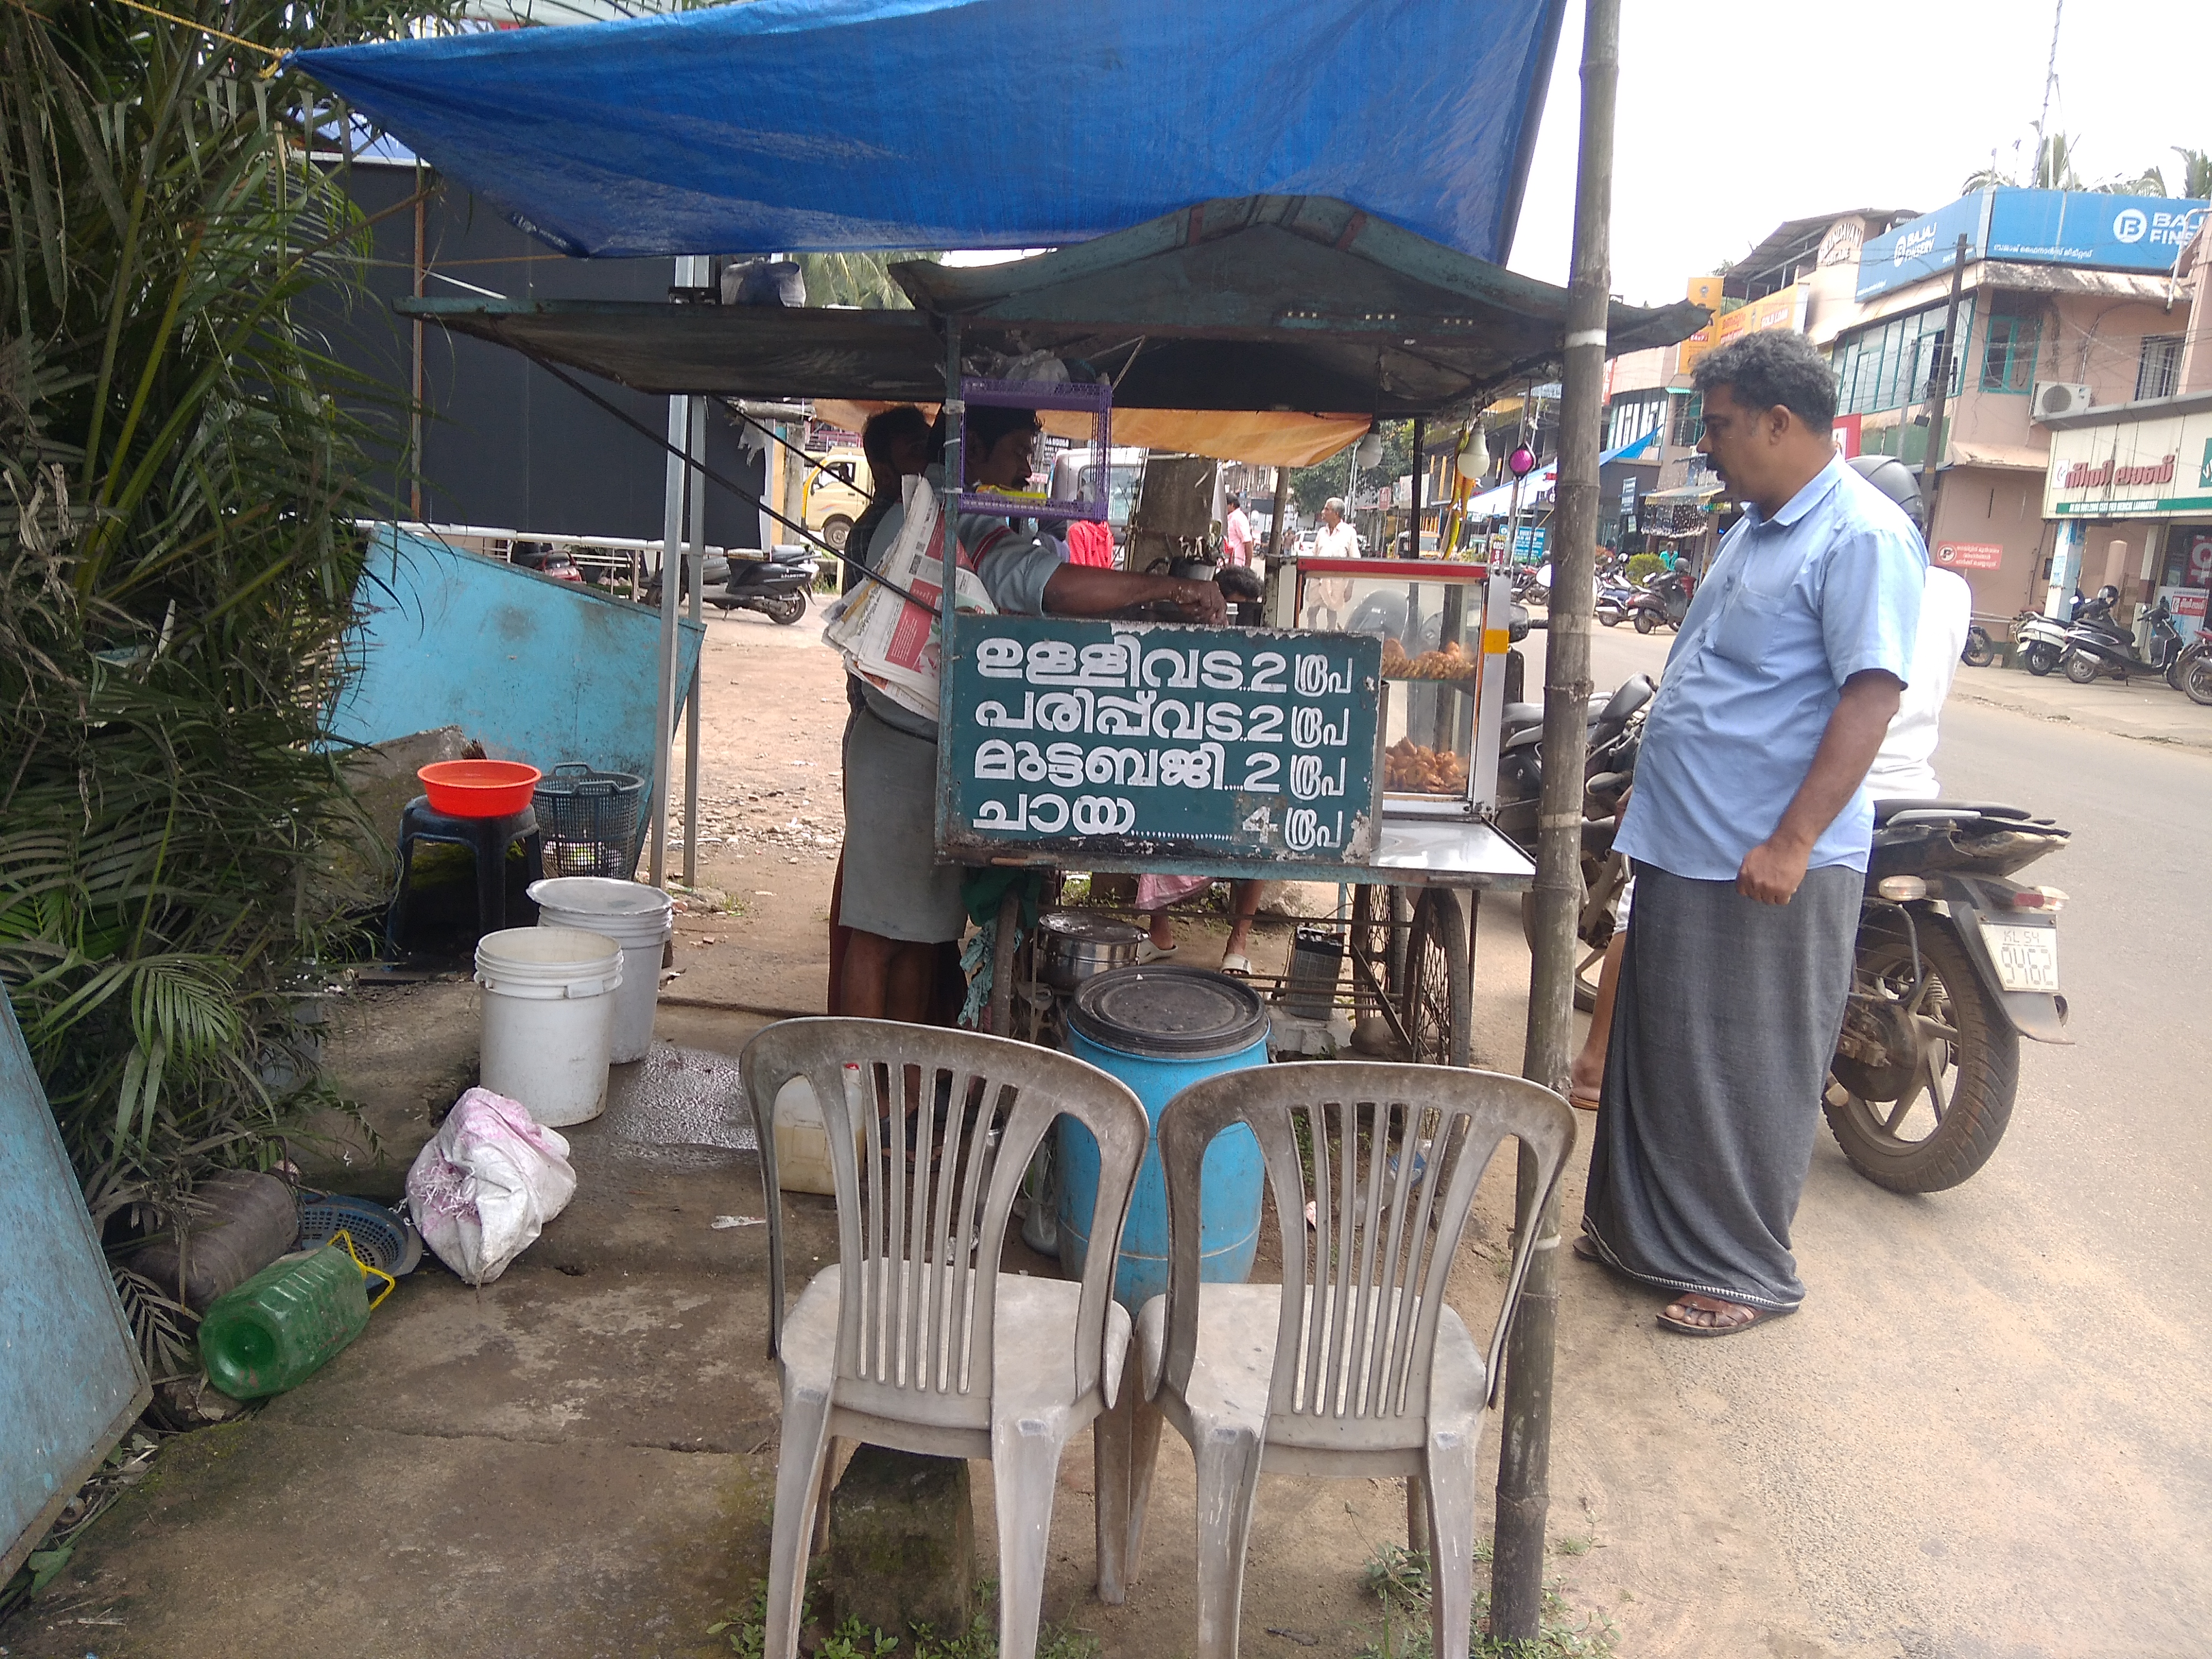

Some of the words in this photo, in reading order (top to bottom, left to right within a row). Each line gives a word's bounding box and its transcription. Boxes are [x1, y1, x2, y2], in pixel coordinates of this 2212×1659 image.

[2057, 240, 2098, 264] ലിമിറ്റഡ്
[2056, 452, 2180, 497] നീതിലാണ്
[969, 627, 1248, 693] ഉള്ളീവട
[1244, 648, 1356, 701] 2 രൂപ
[967, 684, 1286, 747] പരിപ്പ് ‌വട 2
[1287, 699, 1352, 754] രൂപ
[967, 732, 1228, 794] മുട്ടബജി
[1238, 746, 1285, 797] 2
[1285, 751, 1351, 805] രൂപ
[969, 784, 1141, 840] ചായ
[1233, 799, 1345, 856] 4 രൂപ